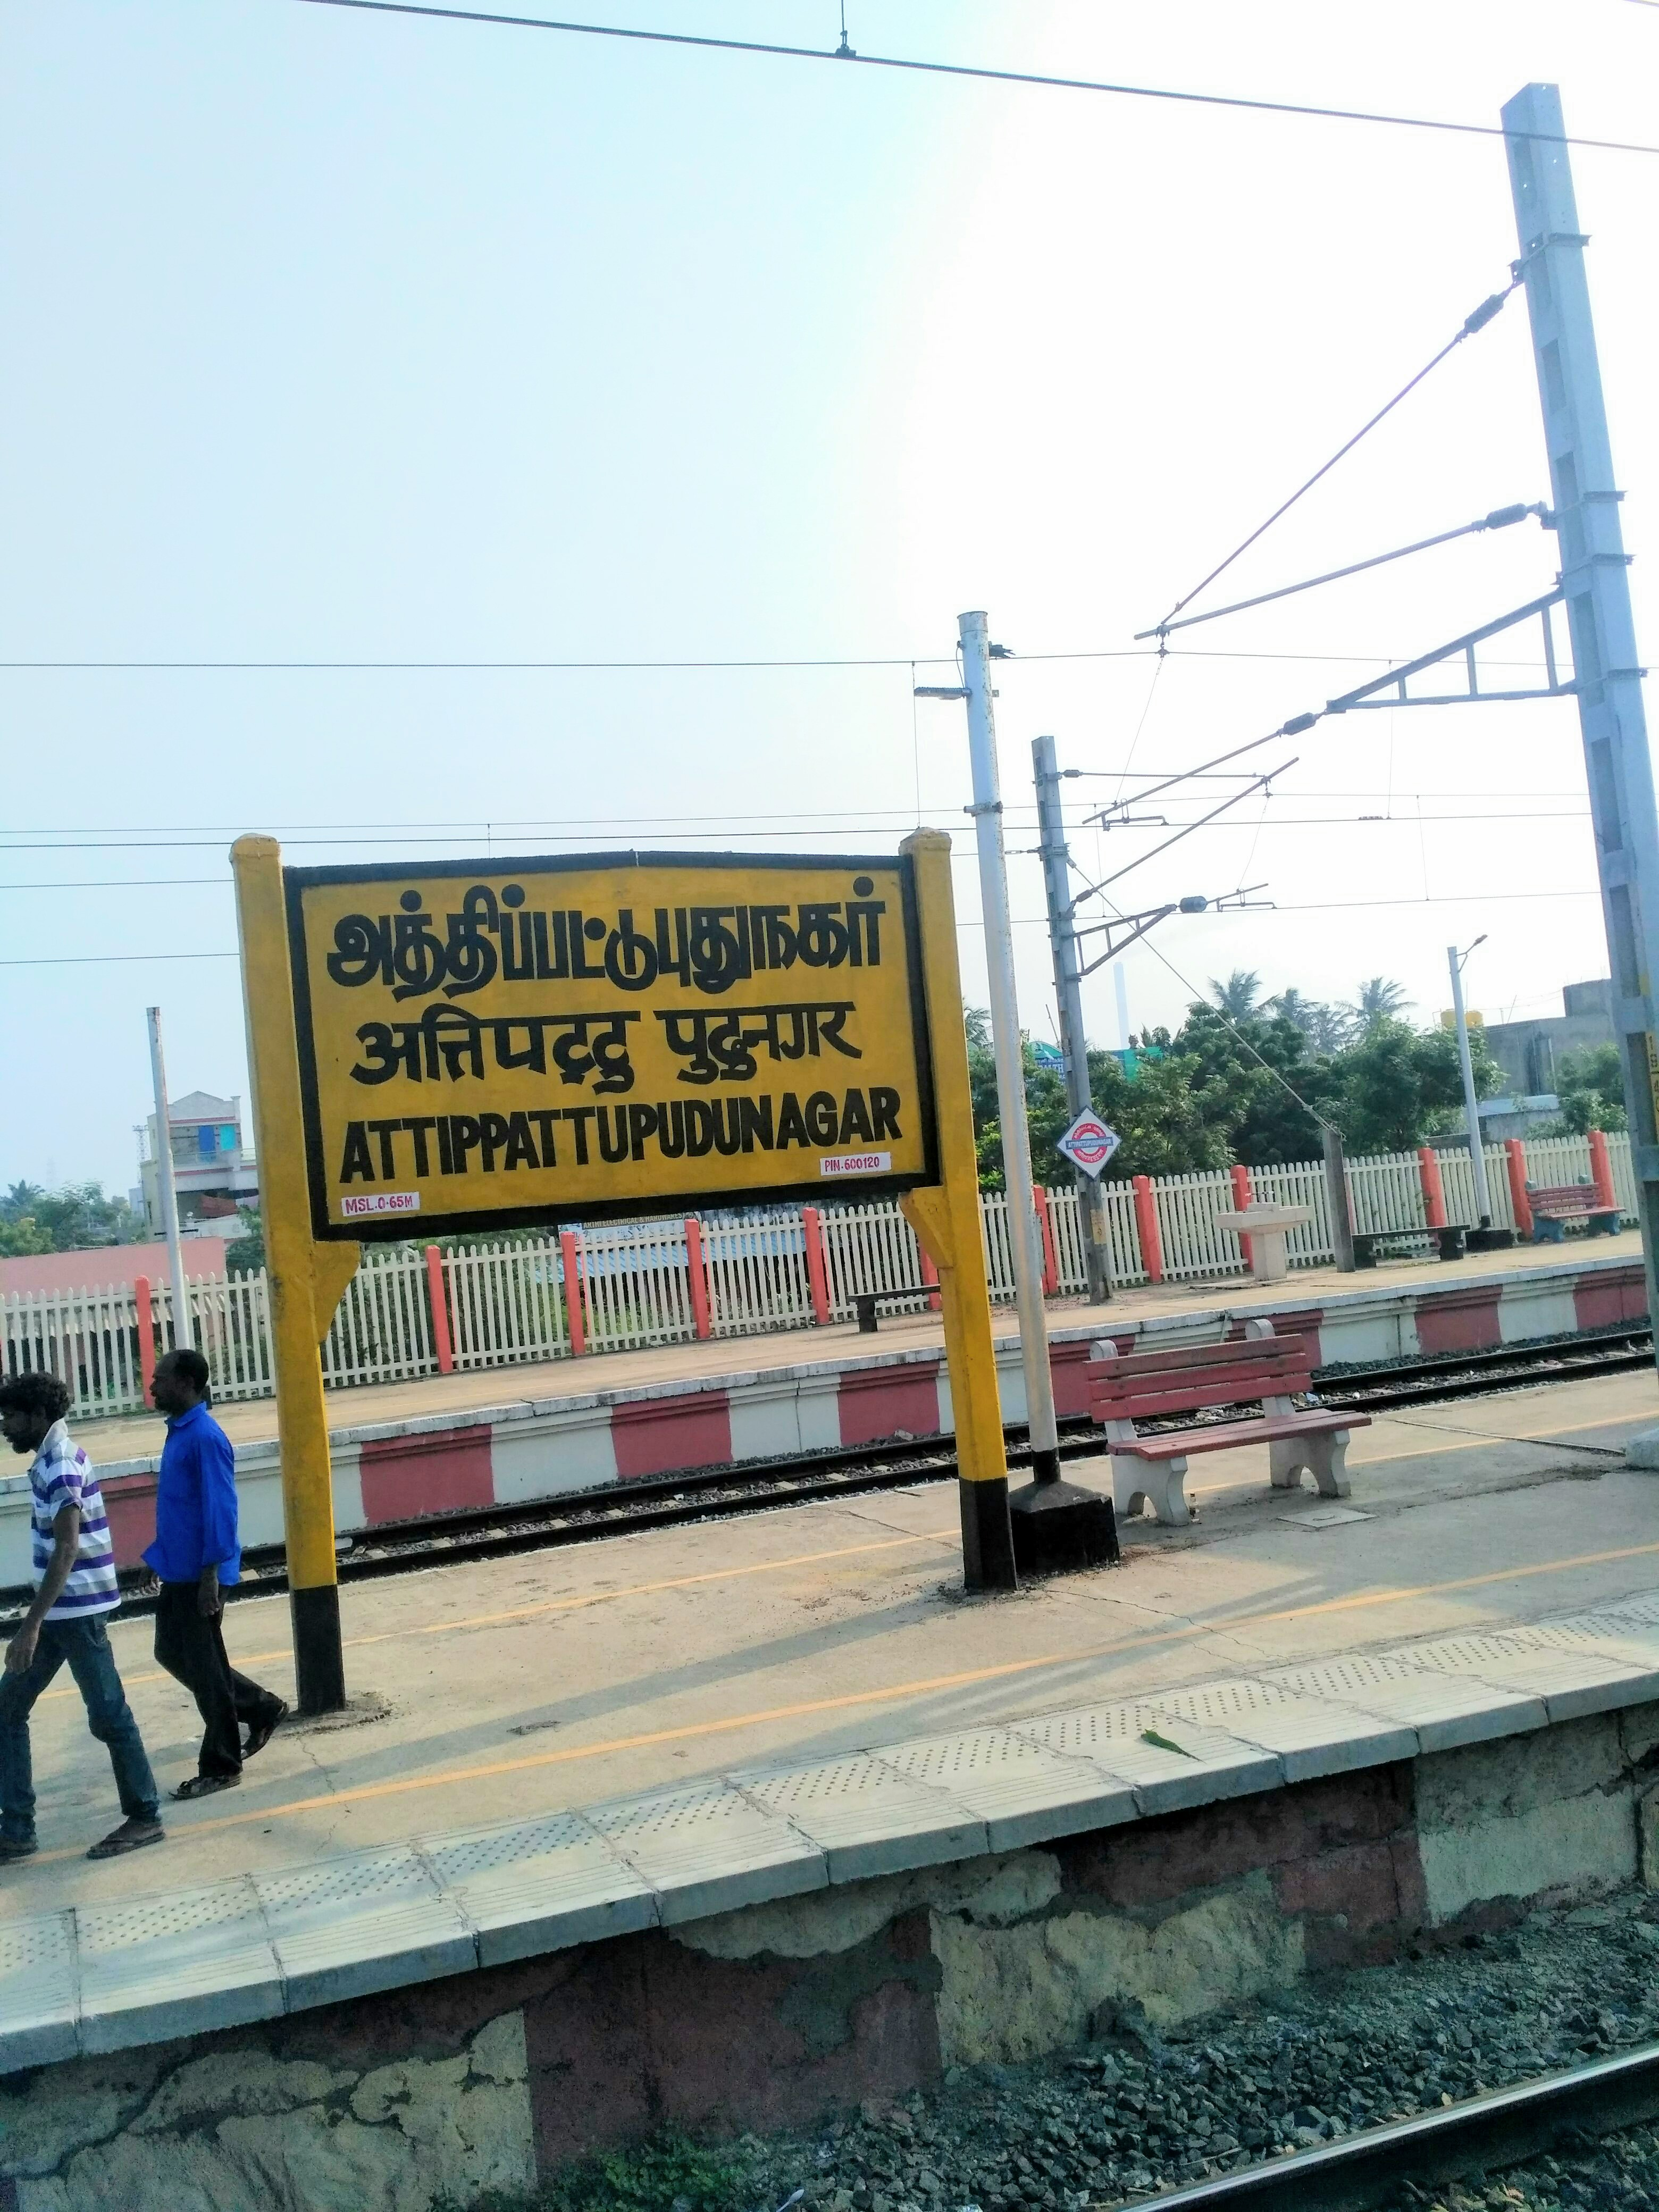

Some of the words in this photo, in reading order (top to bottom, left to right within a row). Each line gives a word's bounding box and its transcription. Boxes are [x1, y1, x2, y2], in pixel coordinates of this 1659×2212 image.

[323, 870, 890, 1002] அத்திப்பட்டுபதுநகா்
[345, 995, 643, 1096] अत्तिपट्टु
[650, 998, 865, 1086] पुदुनगर
[340, 1191, 415, 1217] MSL.0-65M
[338, 1085, 904, 1184] ATTIPPATTUPUDUNAGAR
[823, 1153, 885, 1176] PIN-600120